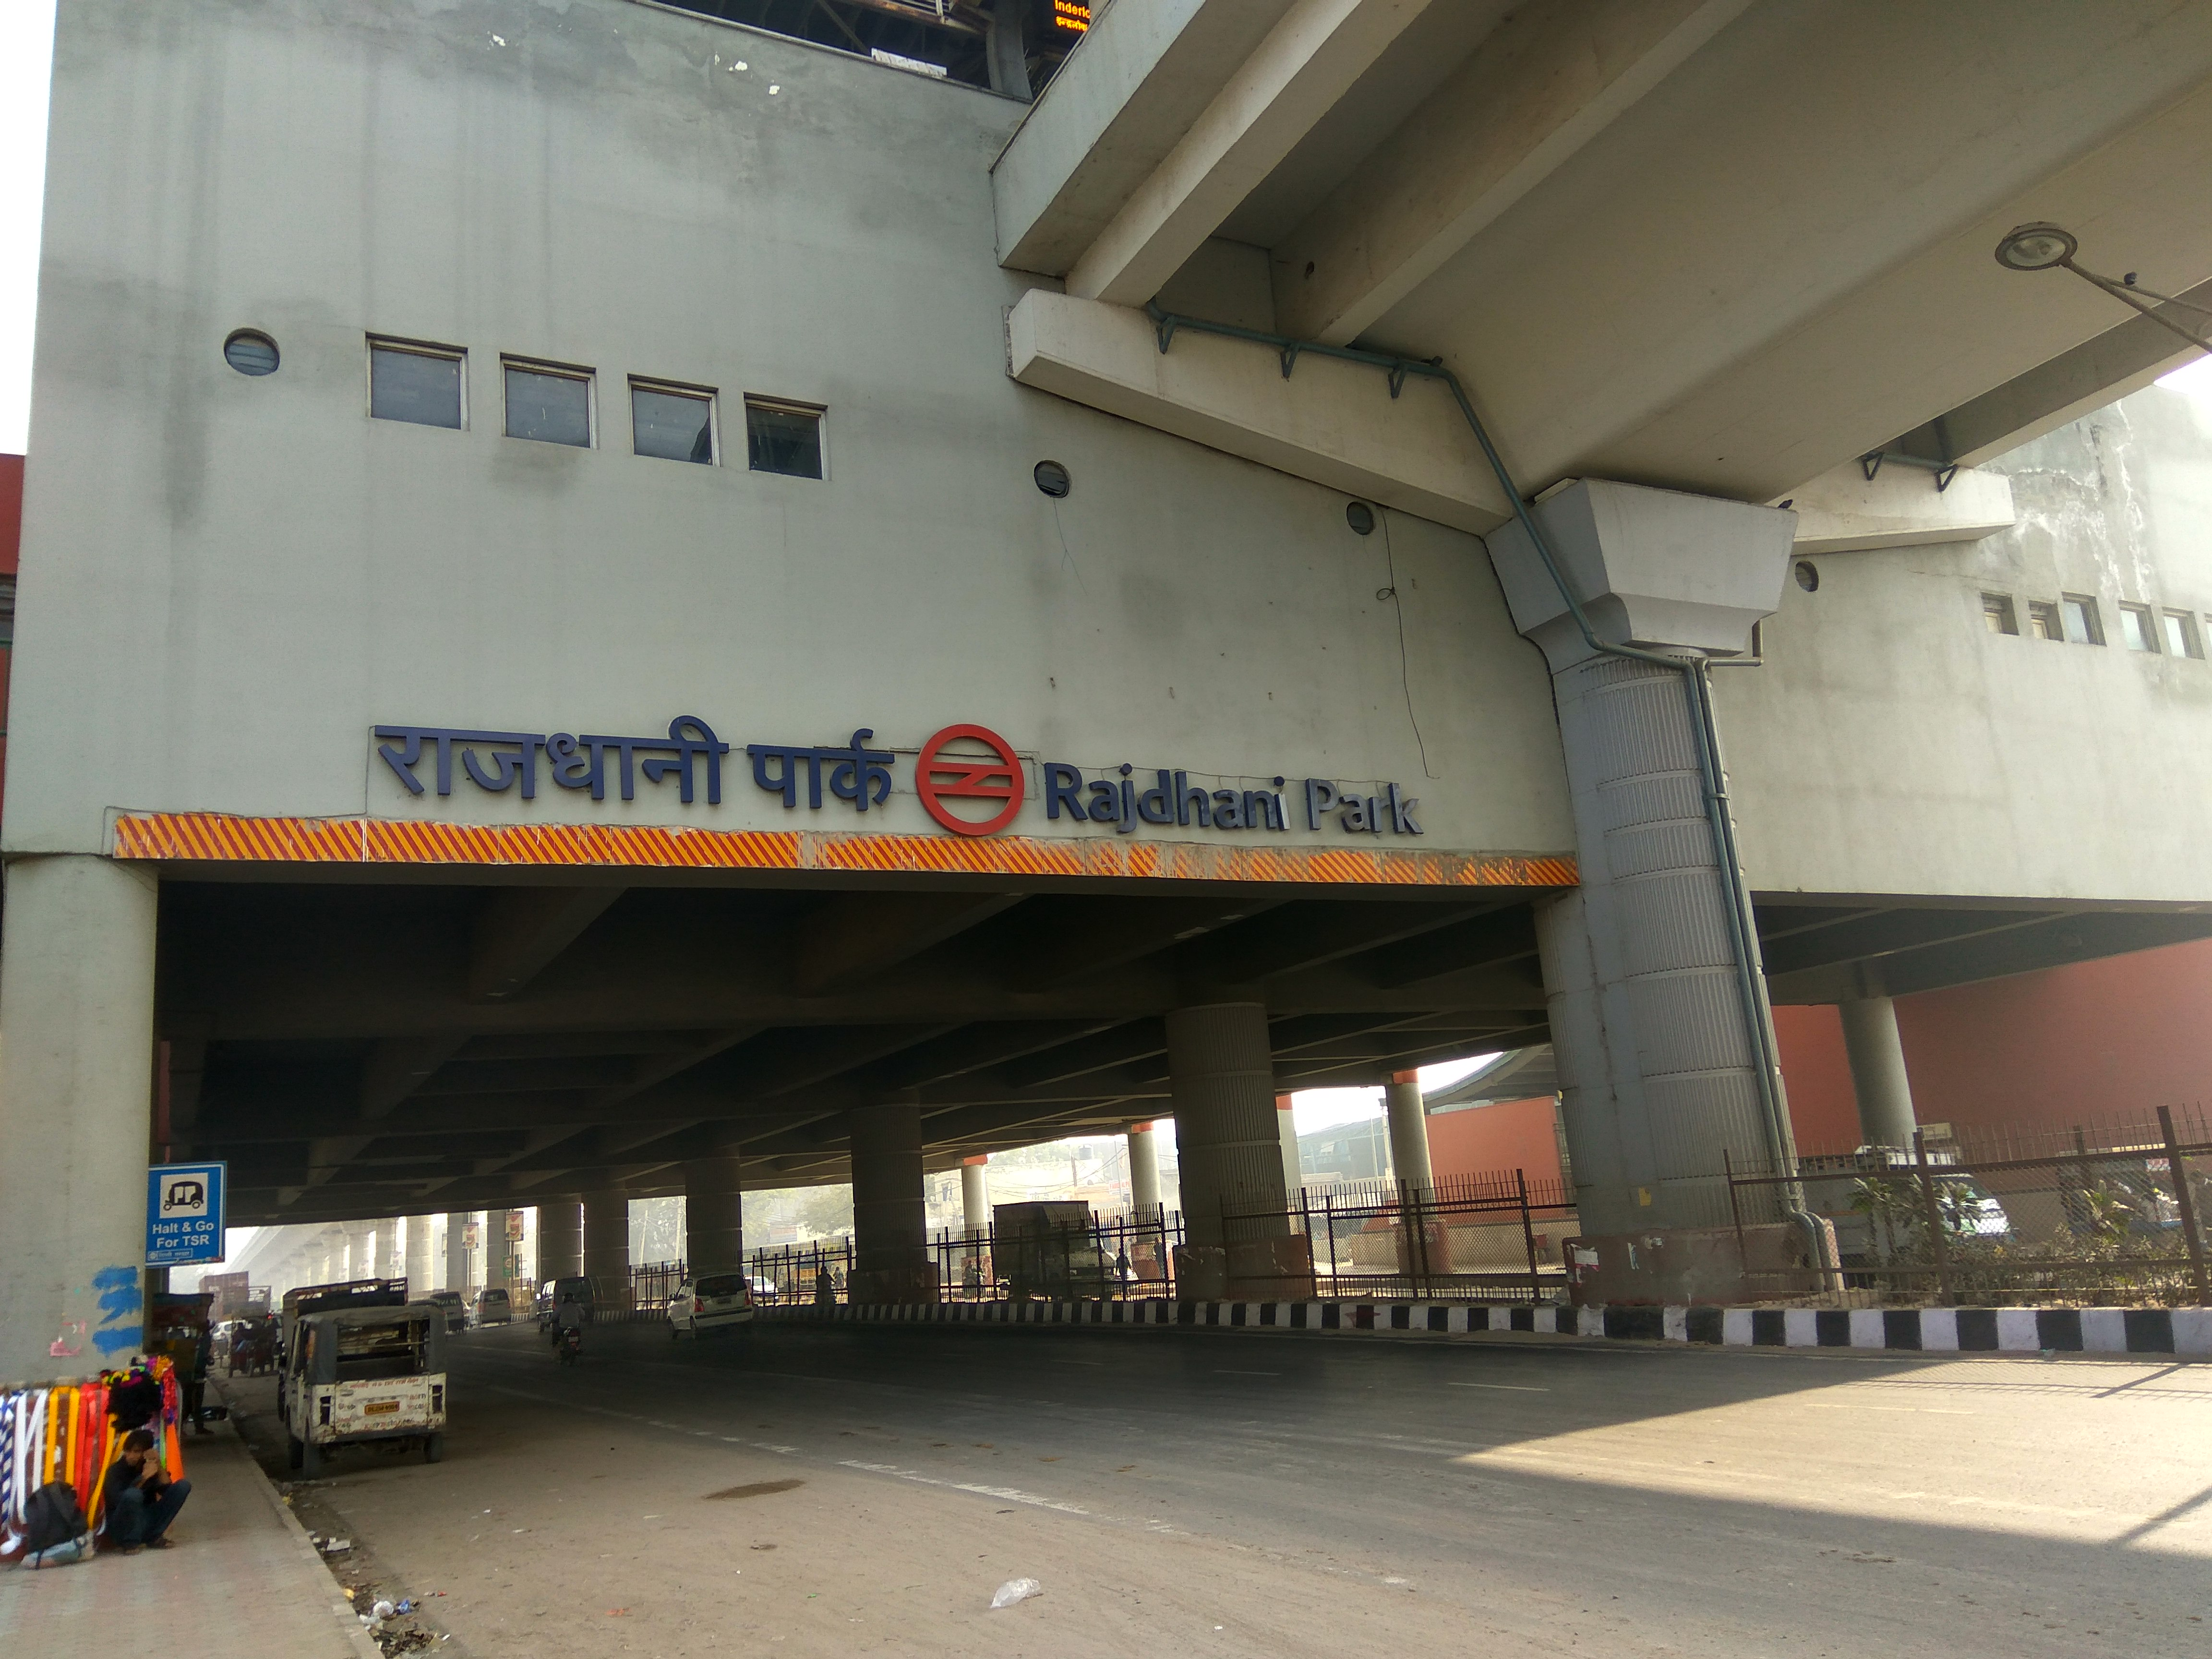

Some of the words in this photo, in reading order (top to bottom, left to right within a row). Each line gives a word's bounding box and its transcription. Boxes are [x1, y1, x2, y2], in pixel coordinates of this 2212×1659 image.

[373, 713, 730, 805] राजधानी
[741, 726, 896, 811] पार्क
[1044, 760, 1289, 834] Rajdhani
[1303, 775, 1426, 834] Park
[151, 1220, 181, 1236] Halt
[178, 1219, 192, 1236] &
[191, 1216, 218, 1233] Go
[154, 1236, 182, 1251] For
[178, 1230, 211, 1248] TSR